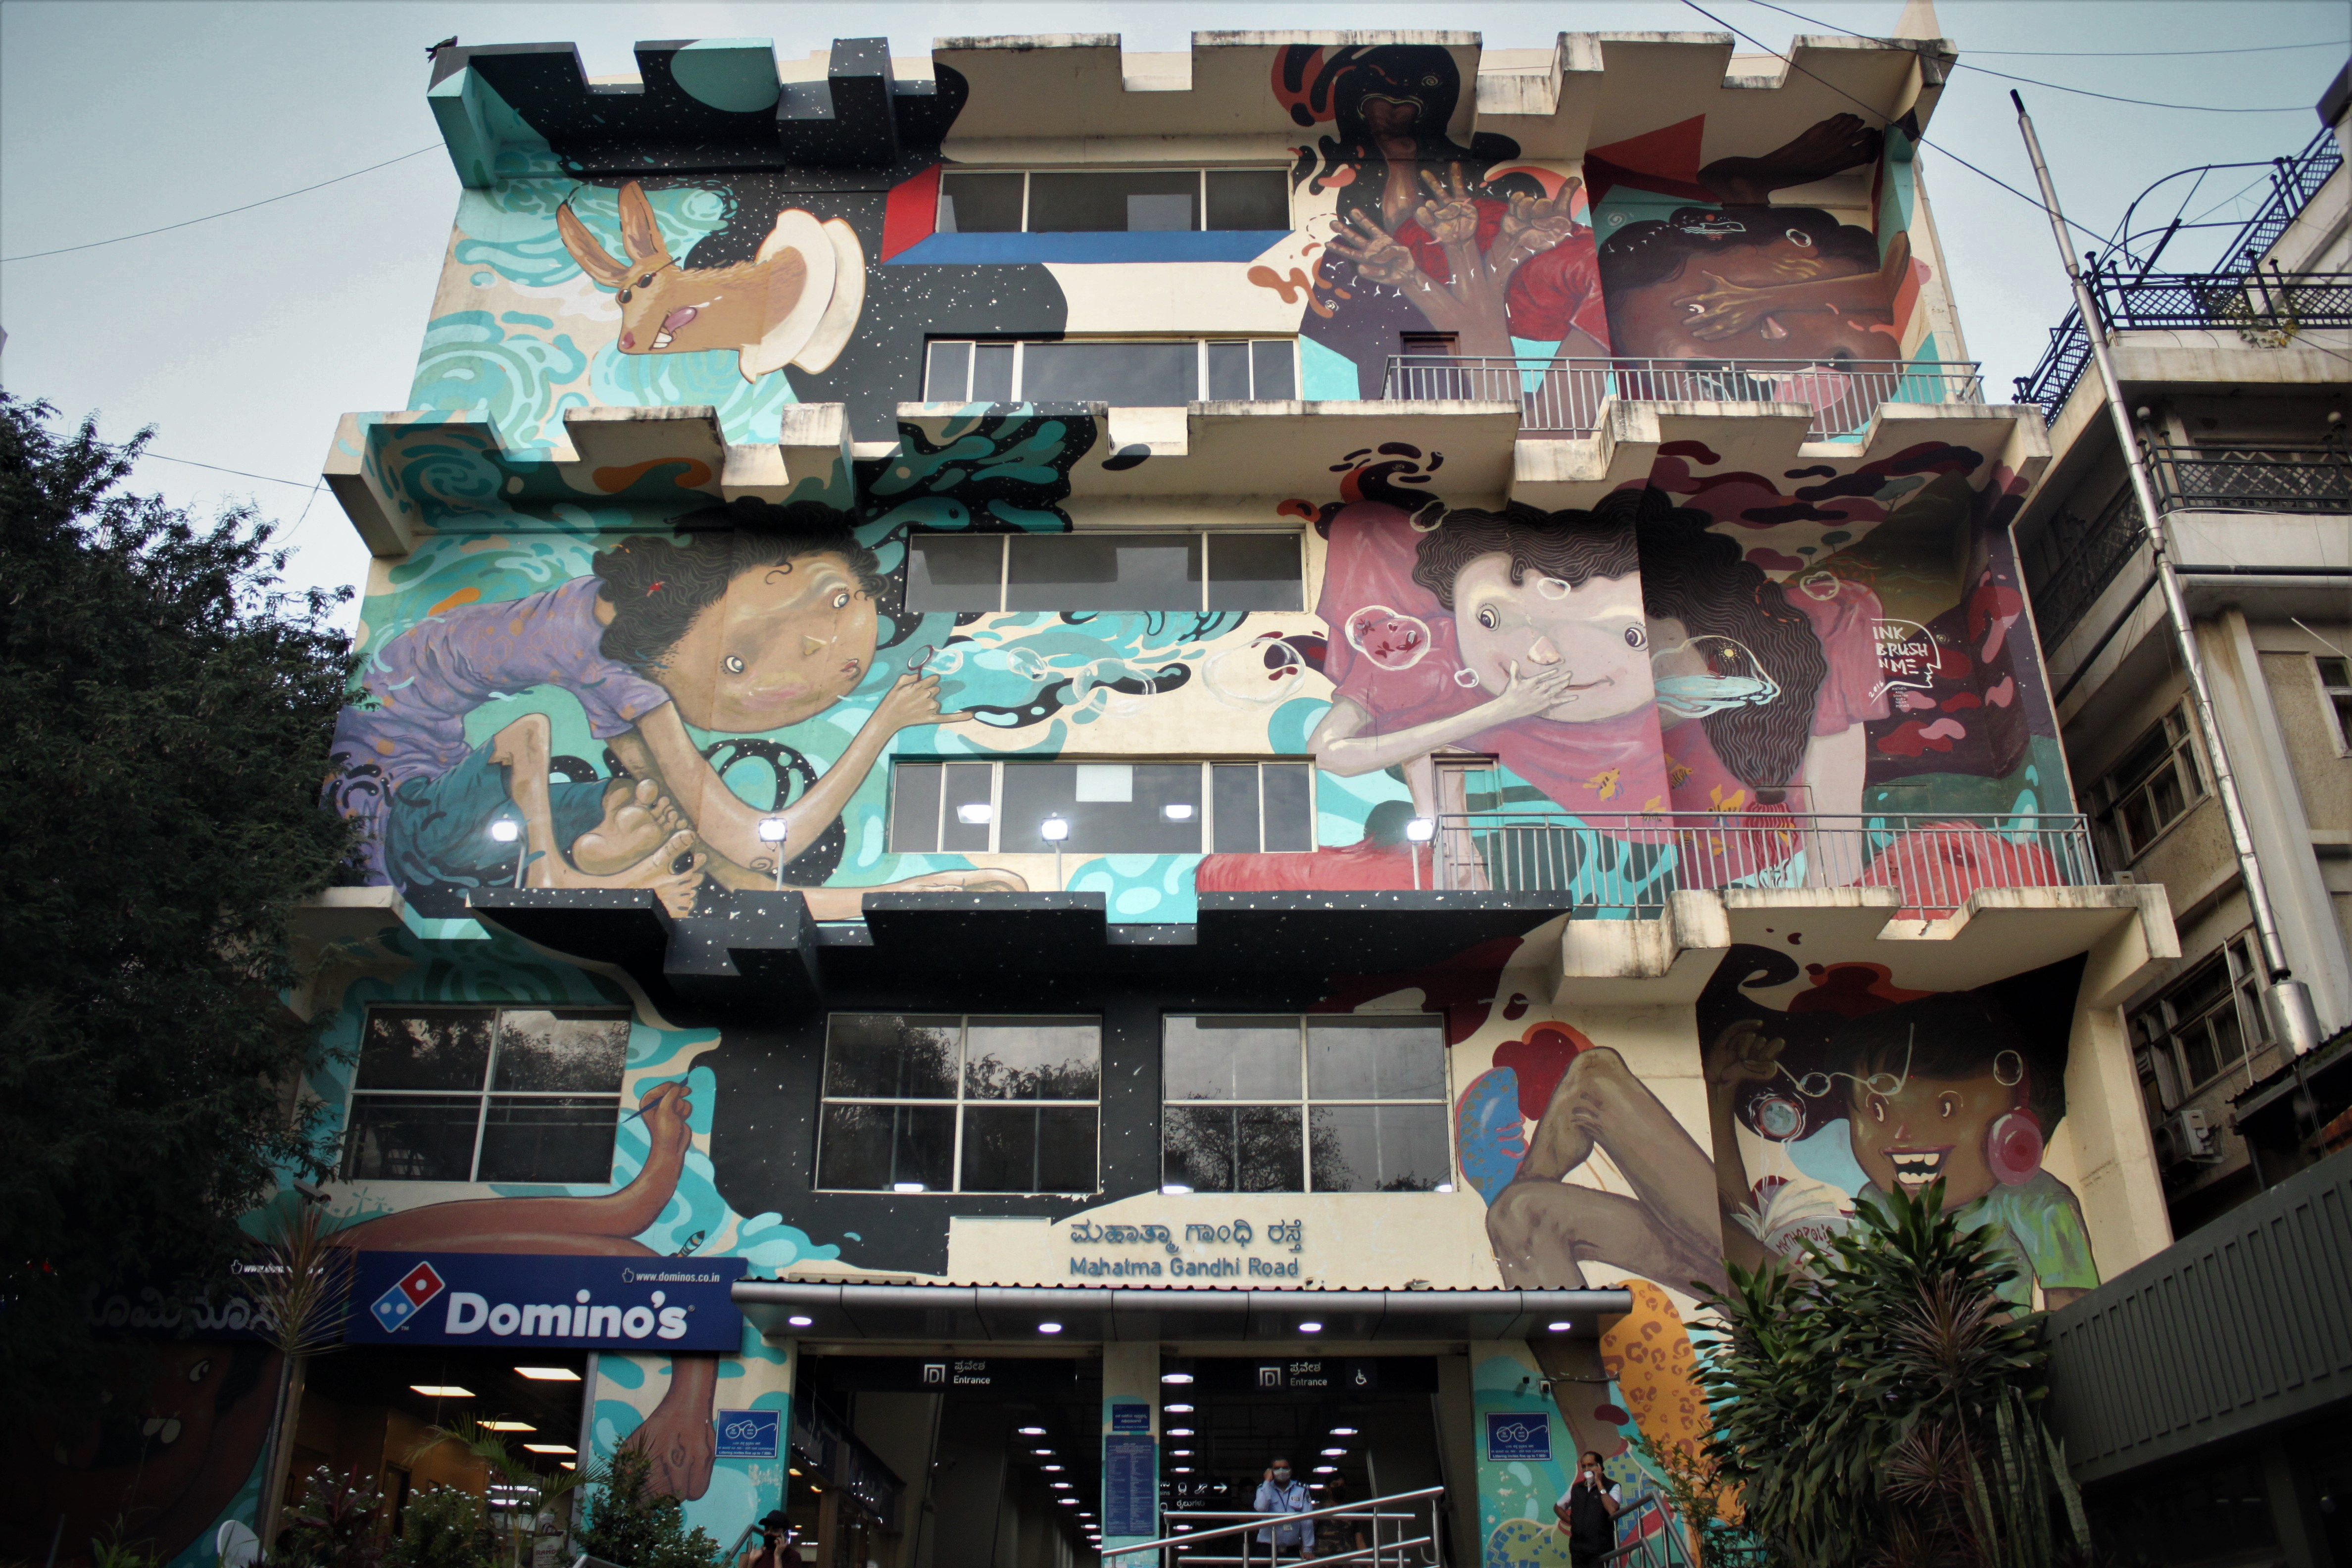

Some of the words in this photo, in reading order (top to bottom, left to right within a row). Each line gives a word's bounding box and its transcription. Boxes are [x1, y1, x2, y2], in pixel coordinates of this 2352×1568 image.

[1068, 1214, 1182, 1258] ಮಹಾತ್ಮ
[1174, 1212, 1256, 1248] ಗಾಂಧಿ
[1265, 1215, 1306, 1254] ರಸ್ತ
[634, 1267, 722, 1284] www.dominos.co.in
[1068, 1255, 1163, 1278] Mahatma
[1167, 1253, 1241, 1278] Gandhi
[1246, 1253, 1300, 1278] Road
[441, 1284, 691, 1343] Domino
[951, 1355, 988, 1376] ಪ್ರವೇಶ
[952, 1373, 992, 1387] Entrance
[1286, 1358, 1323, 1378] ಪ್ರವೇಶ
[1288, 1374, 1330, 1388] Entrance